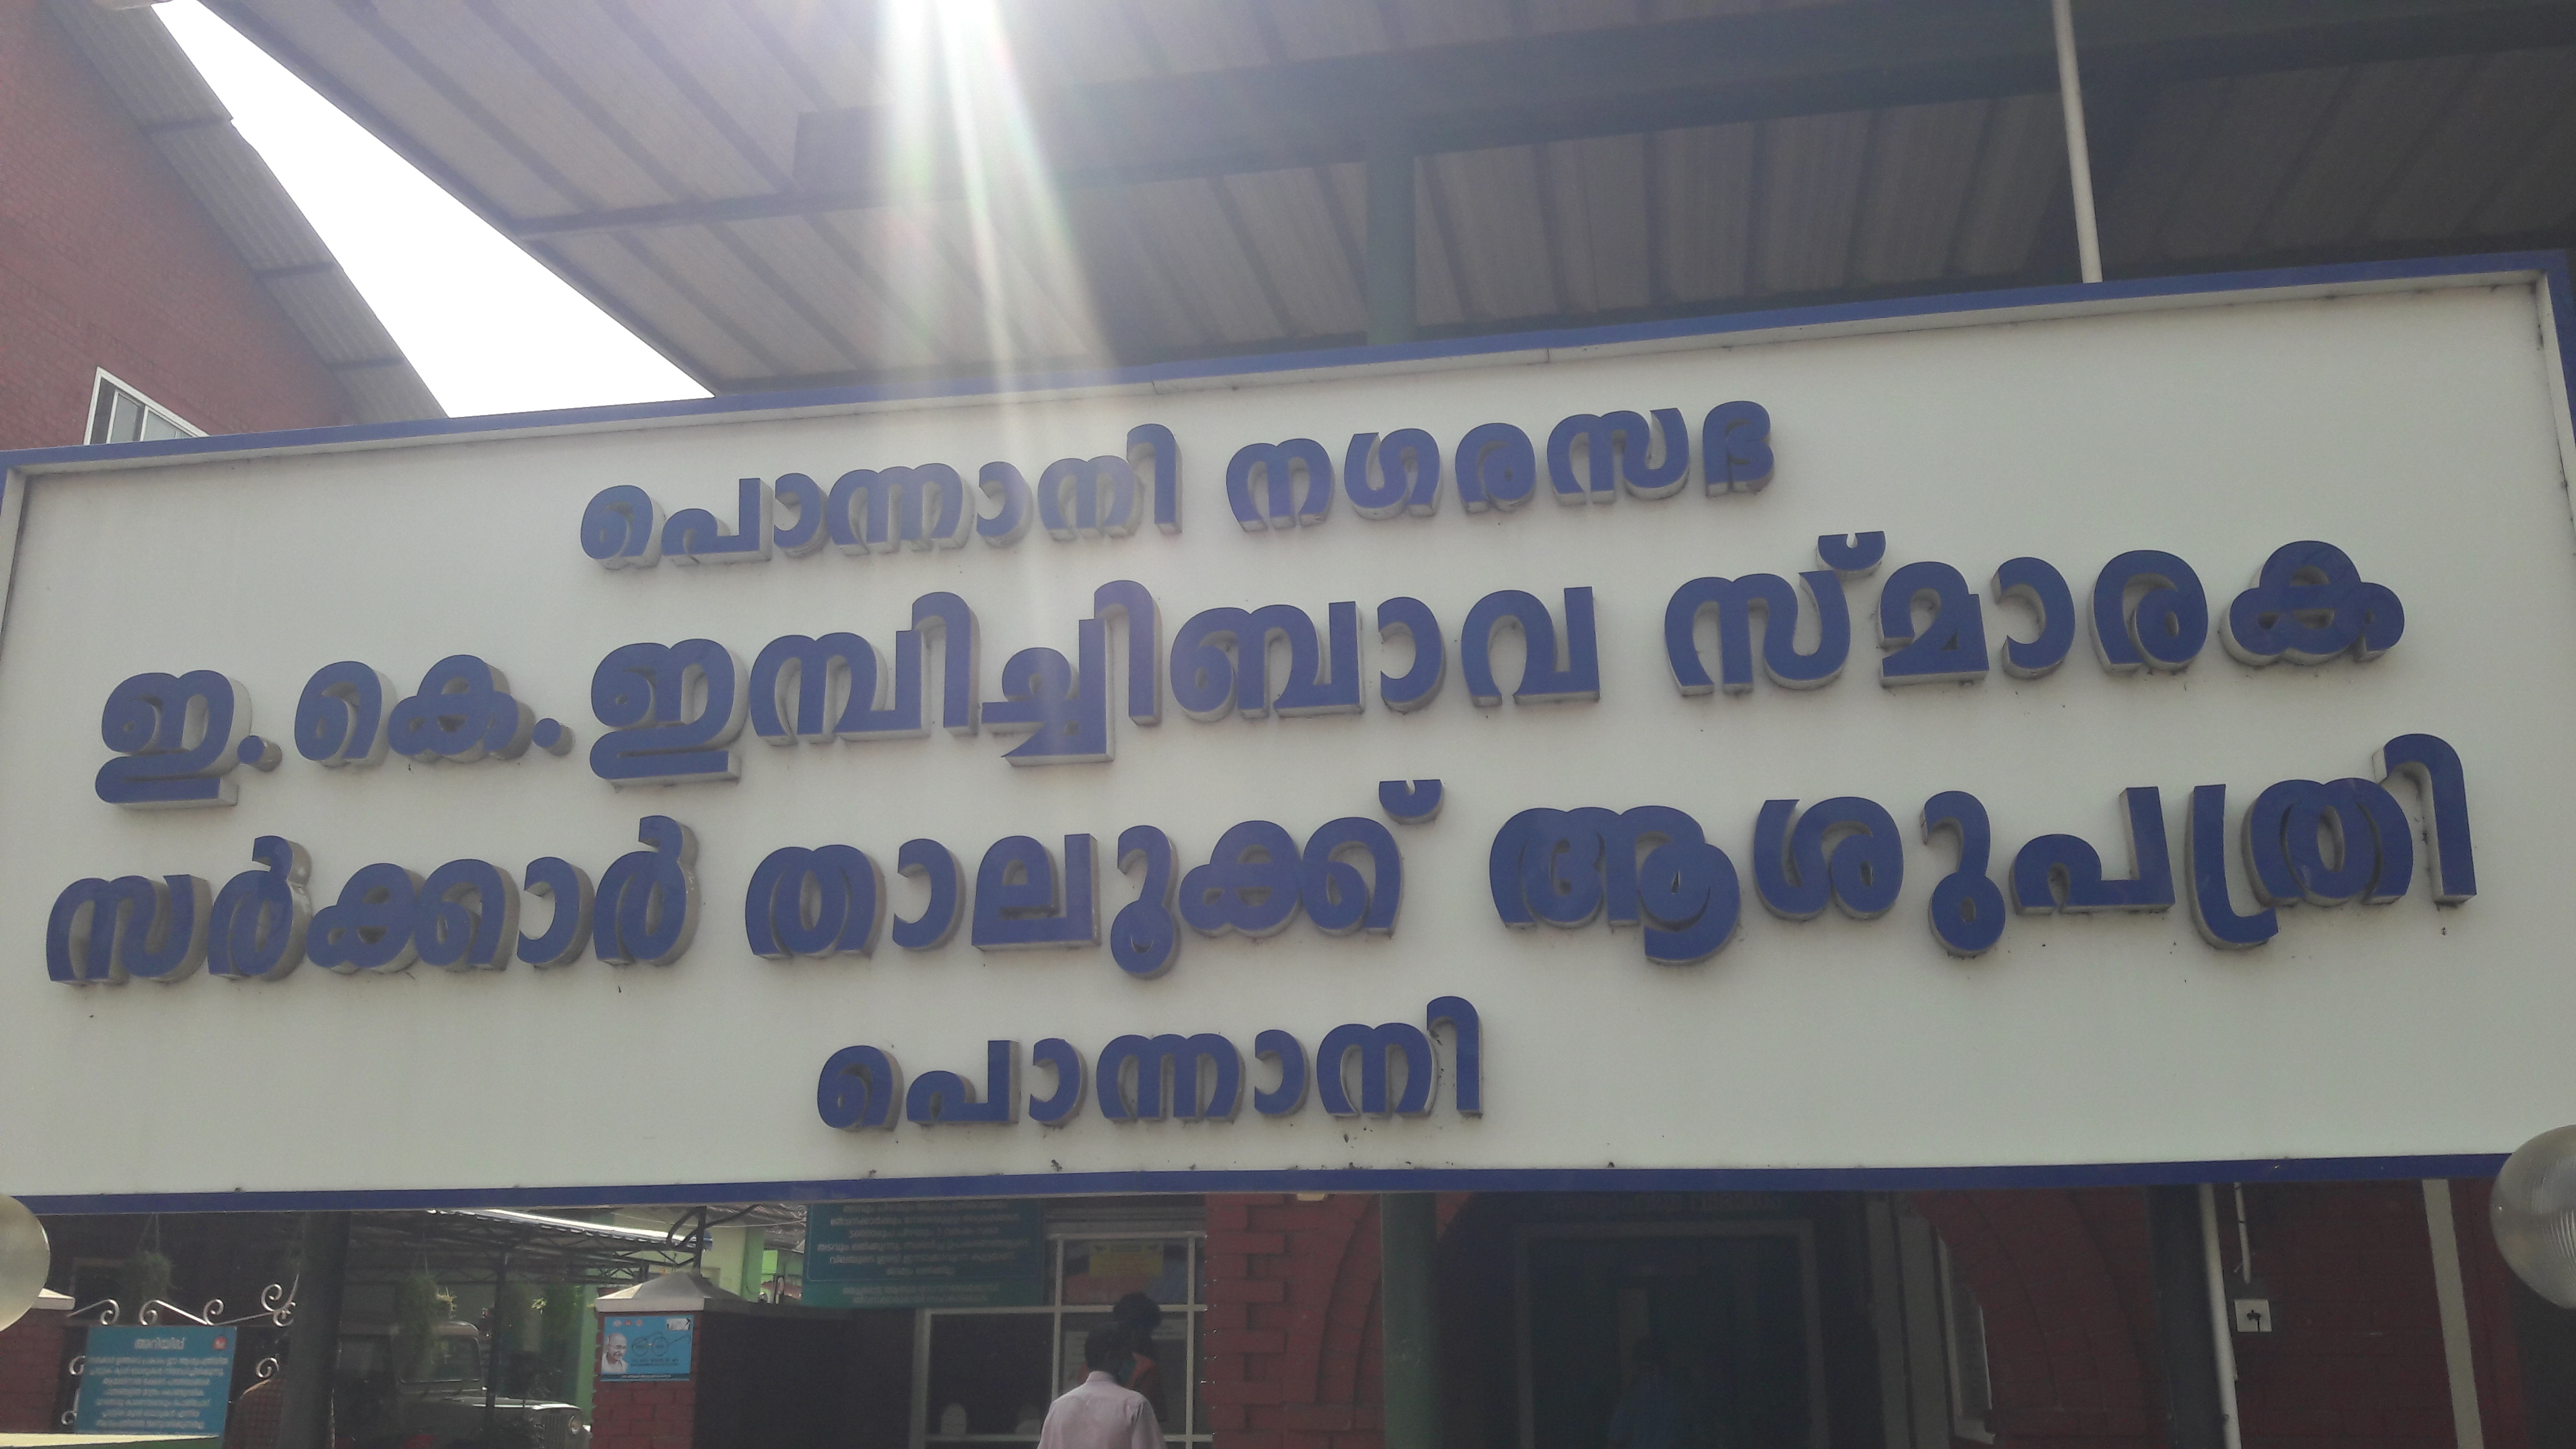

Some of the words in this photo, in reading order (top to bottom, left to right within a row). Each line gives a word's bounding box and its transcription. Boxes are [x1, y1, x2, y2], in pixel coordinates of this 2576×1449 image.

[569, 421, 1182, 570] പൊന്നാനി
[1218, 391, 1783, 537] നഗരസഭ
[85, 637, 568, 815] ഇ.കെ.
[580, 568, 1611, 790] ഇമ്പിച്ചിബാവ
[1649, 524, 2414, 703] സ്‌മാരക
[37, 807, 704, 993] സർക്കാർ
[729, 770, 1453, 986] താലൂക്ക്
[1484, 720, 2481, 985] ആശുപത്രി
[804, 987, 1490, 1138] പൊന്നാനി